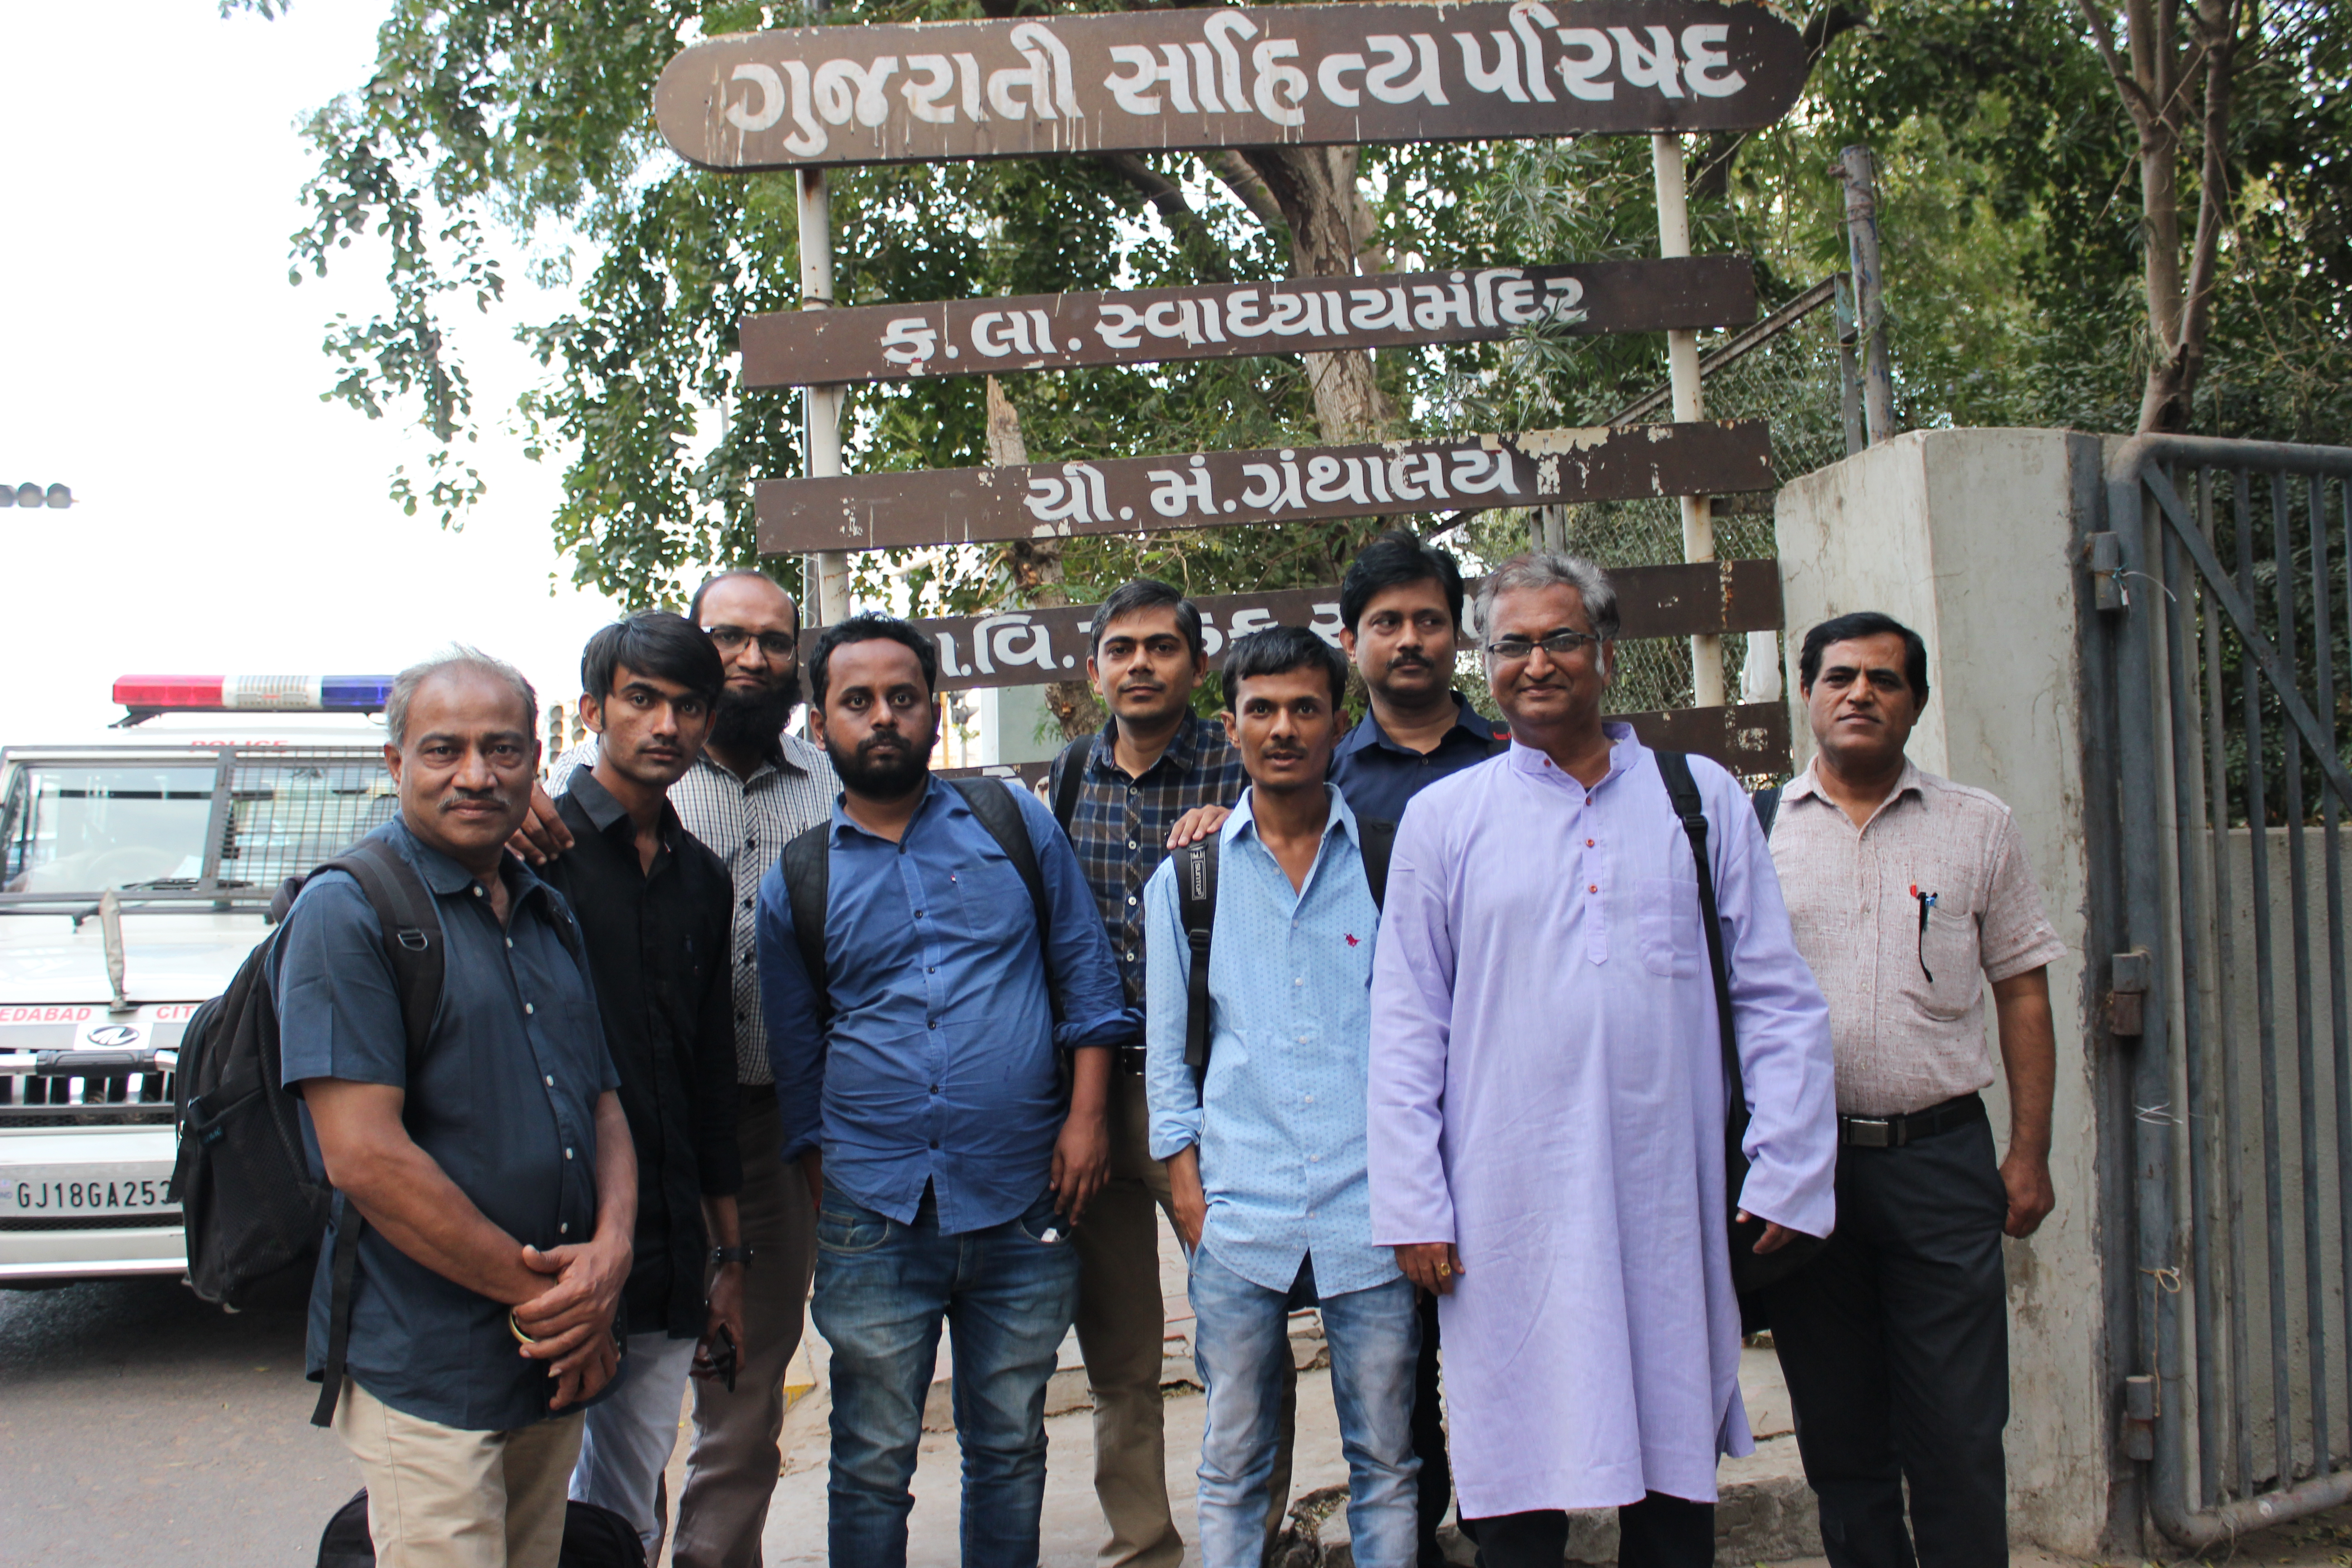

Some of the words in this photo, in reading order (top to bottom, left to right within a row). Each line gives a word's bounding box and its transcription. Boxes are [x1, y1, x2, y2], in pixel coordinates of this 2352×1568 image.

[713, 15, 1091, 160] ગજરાતી
[1097, 5, 1461, 130] સાહિત્ય
[1445, 0, 1752, 113] પરિષદ
[877, 305, 965, 374] ક.
[967, 296, 1088, 361] લા.
[1089, 280, 1414, 353] સ્વાધ્યાય
[1406, 267, 1594, 337] મંદિર
[1020, 458, 1139, 529] ચી.
[1140, 454, 1241, 525] મં.
[1233, 441, 1528, 521] ગ્રંથાલય
[967, 612, 1081, 681] વિ.
[2, 1006, 97, 1024] EDABAD
[153, 1003, 198, 1024] CIT
[10, 1176, 164, 1212] GJ18GA25